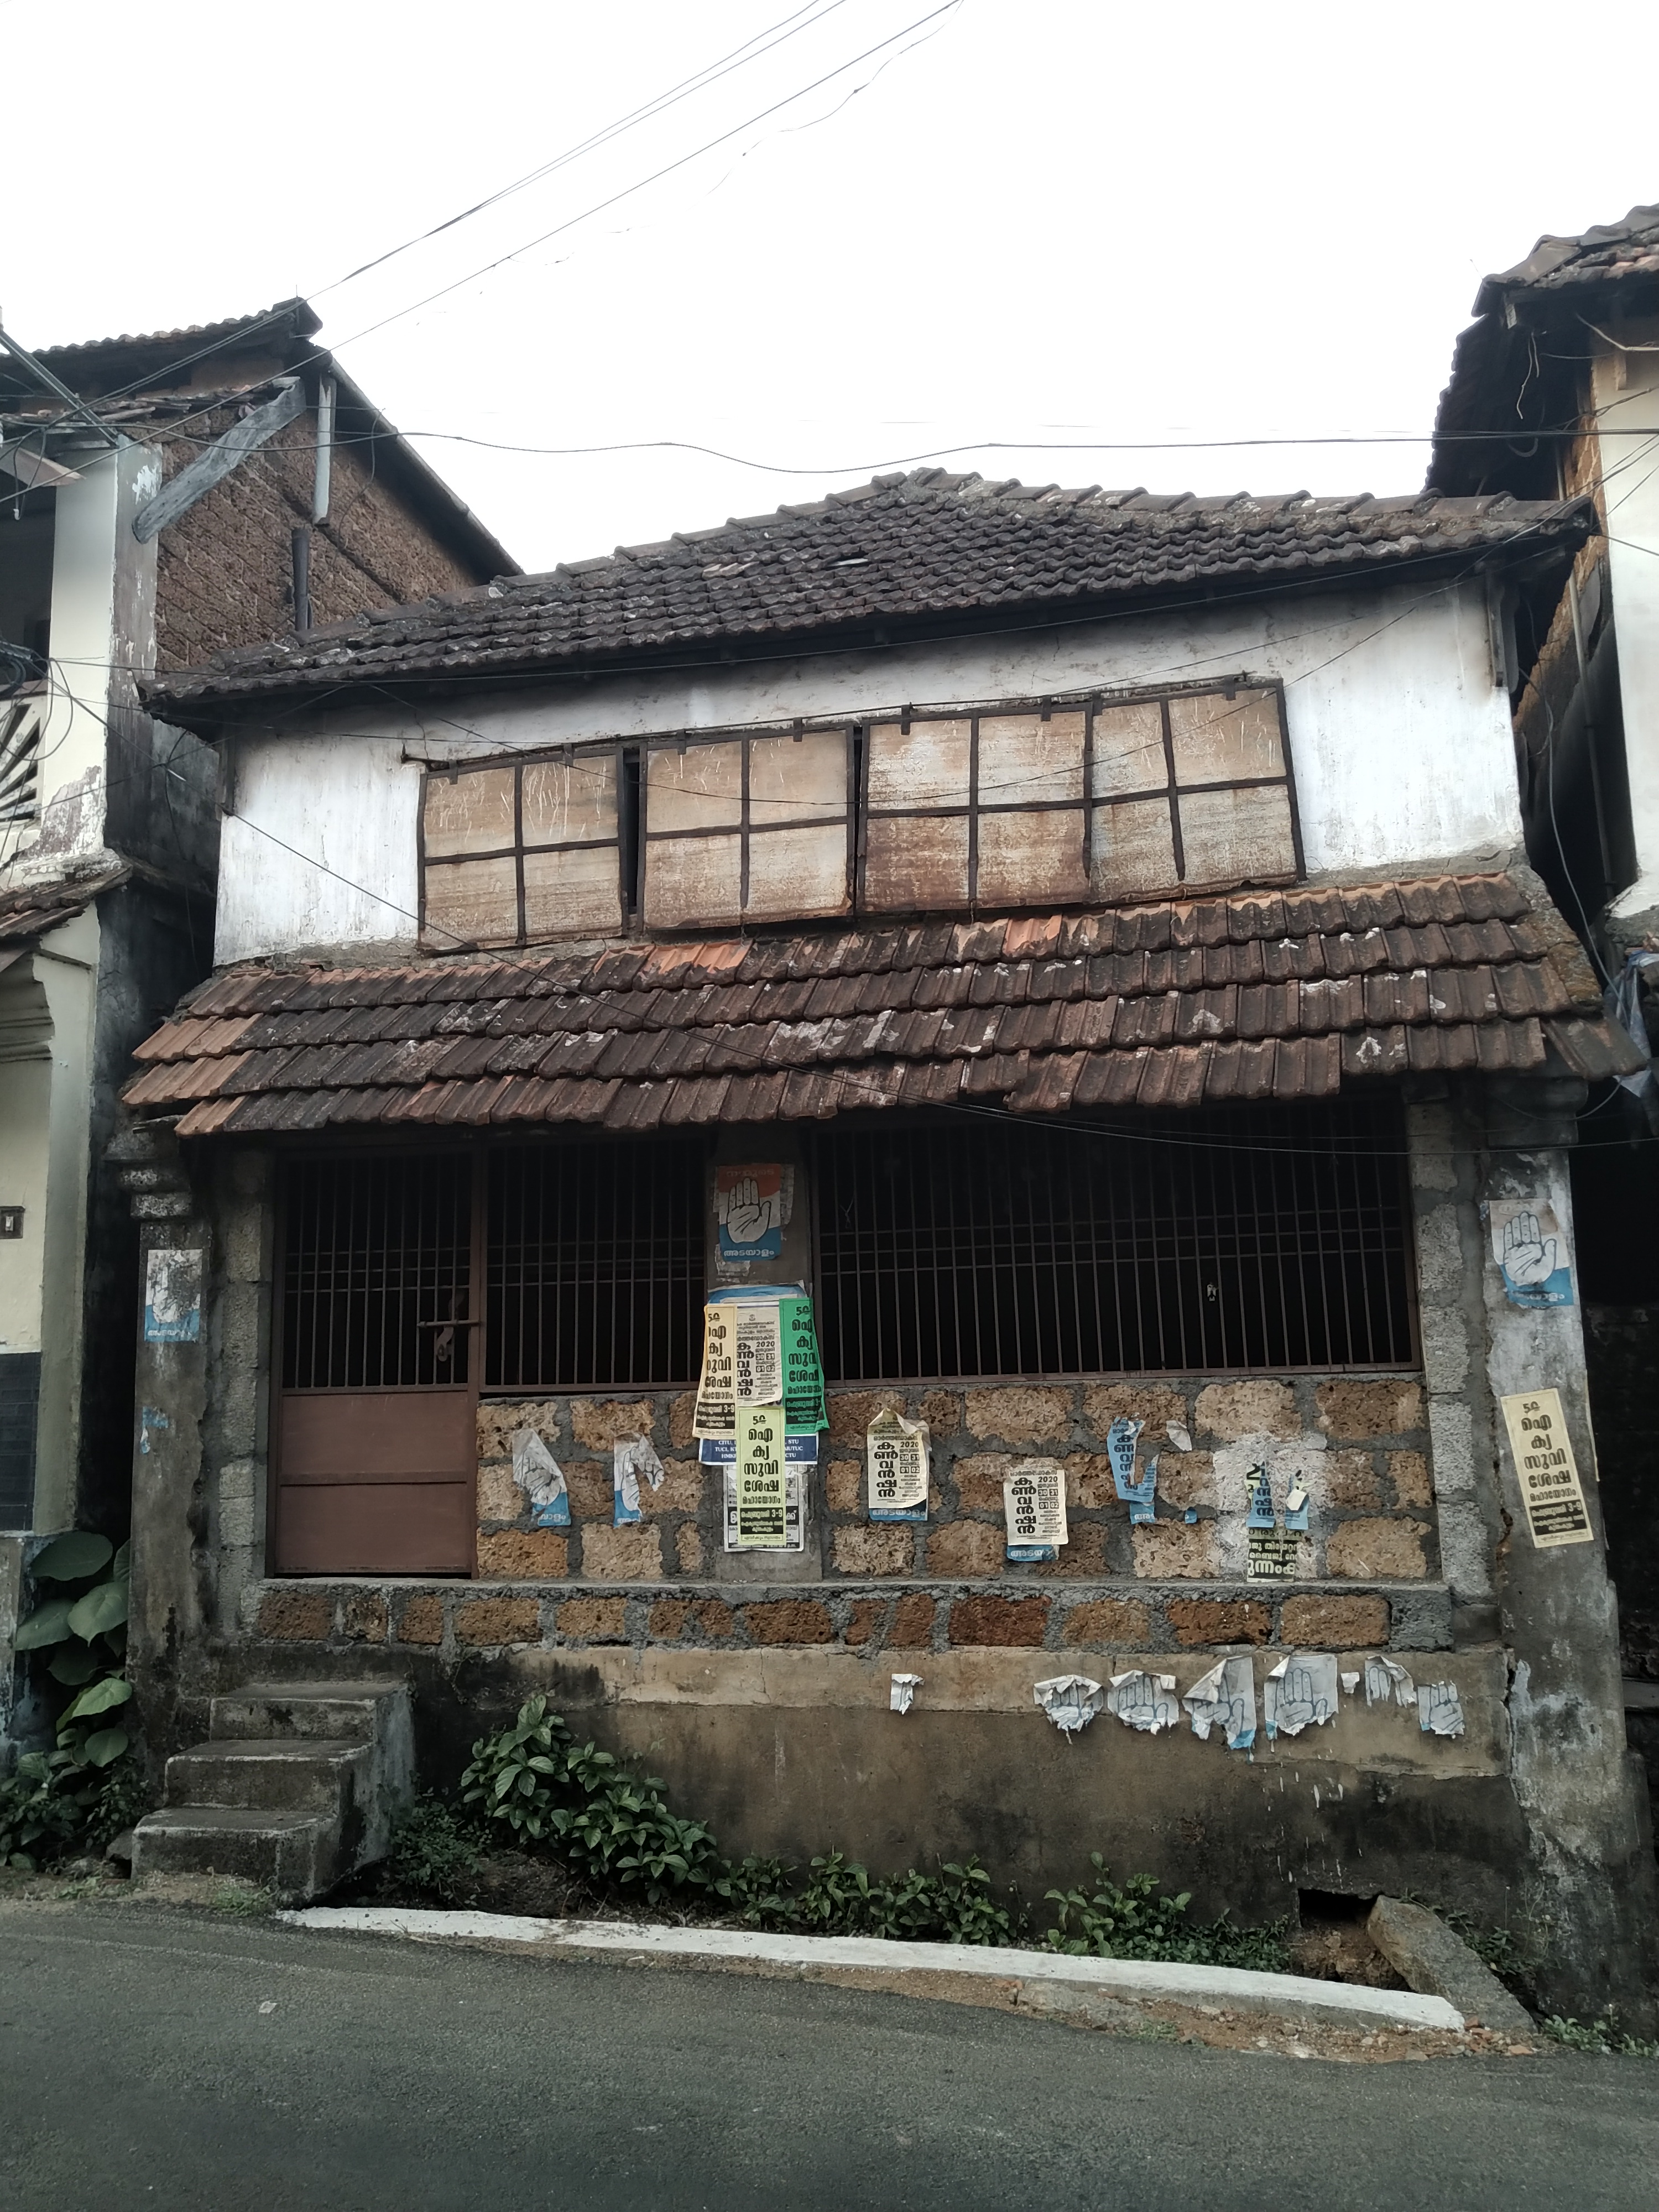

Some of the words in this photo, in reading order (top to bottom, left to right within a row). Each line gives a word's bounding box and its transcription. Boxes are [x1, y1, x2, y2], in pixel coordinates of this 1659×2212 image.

[719, 1246, 778, 1261] അടയാളം
[703, 1309, 723, 1326] 5G
[705, 1323, 731, 1343] എ
[706, 1340, 725, 1360] ക്വ
[735, 1338, 755, 1354] ക
[736, 1348, 758, 1362] ൻ
[706, 1353, 734, 1375] റൂവി
[734, 1358, 754, 1370] വ
[704, 1371, 735, 1390] ശ്ഷ
[735, 1366, 753, 1380] ൻ
[735, 1377, 757, 1391] ഷ
[734, 1385, 755, 1400] ൻ
[1519, 1397, 1545, 1417] 5G
[751, 1413, 770, 1430] 5G
[1517, 1409, 1556, 1435] ഐ
[738, 1509, 771, 1521] ഫെബ്രുവരീ
[744, 1427, 776, 1444] ഐ
[740, 1477, 780, 1495] ശേഷ
[739, 1493, 782, 1507] മഹായോഗം
[743, 1458, 782, 1478] സുവി
[752, 1442, 774, 1462] ക്യ
[867, 1447, 901, 1462] ൺ
[873, 1478, 898, 1489] ഷ
[878, 1458, 896, 1473] വ
[876, 1489, 898, 1501] ൻ
[877, 1468, 898, 1481] ൻ
[877, 1439, 901, 1454] ക
[1009, 1474, 1035, 1488] ക
[1007, 1482, 1039, 1500] ൺ
[1014, 1503, 1036, 1517] ൻ
[1011, 1514, 1039, 1529] ഷ
[1015, 1495, 1037, 1507] വ
[1528, 1430, 1557, 1452] ക്യ
[1522, 1447, 1571, 1475] സൂവി
[1528, 1503, 1569, 1520] ഫെബ്രൂവരി
[1524, 1465, 1574, 1490] ശേഷ
[1528, 1485, 1579, 1506] മഹായോഗം
[1564, 1498, 1585, 1515] 3-9
[1016, 1522, 1037, 1538] ൻ
[1006, 1547, 1045, 1559] അടയ